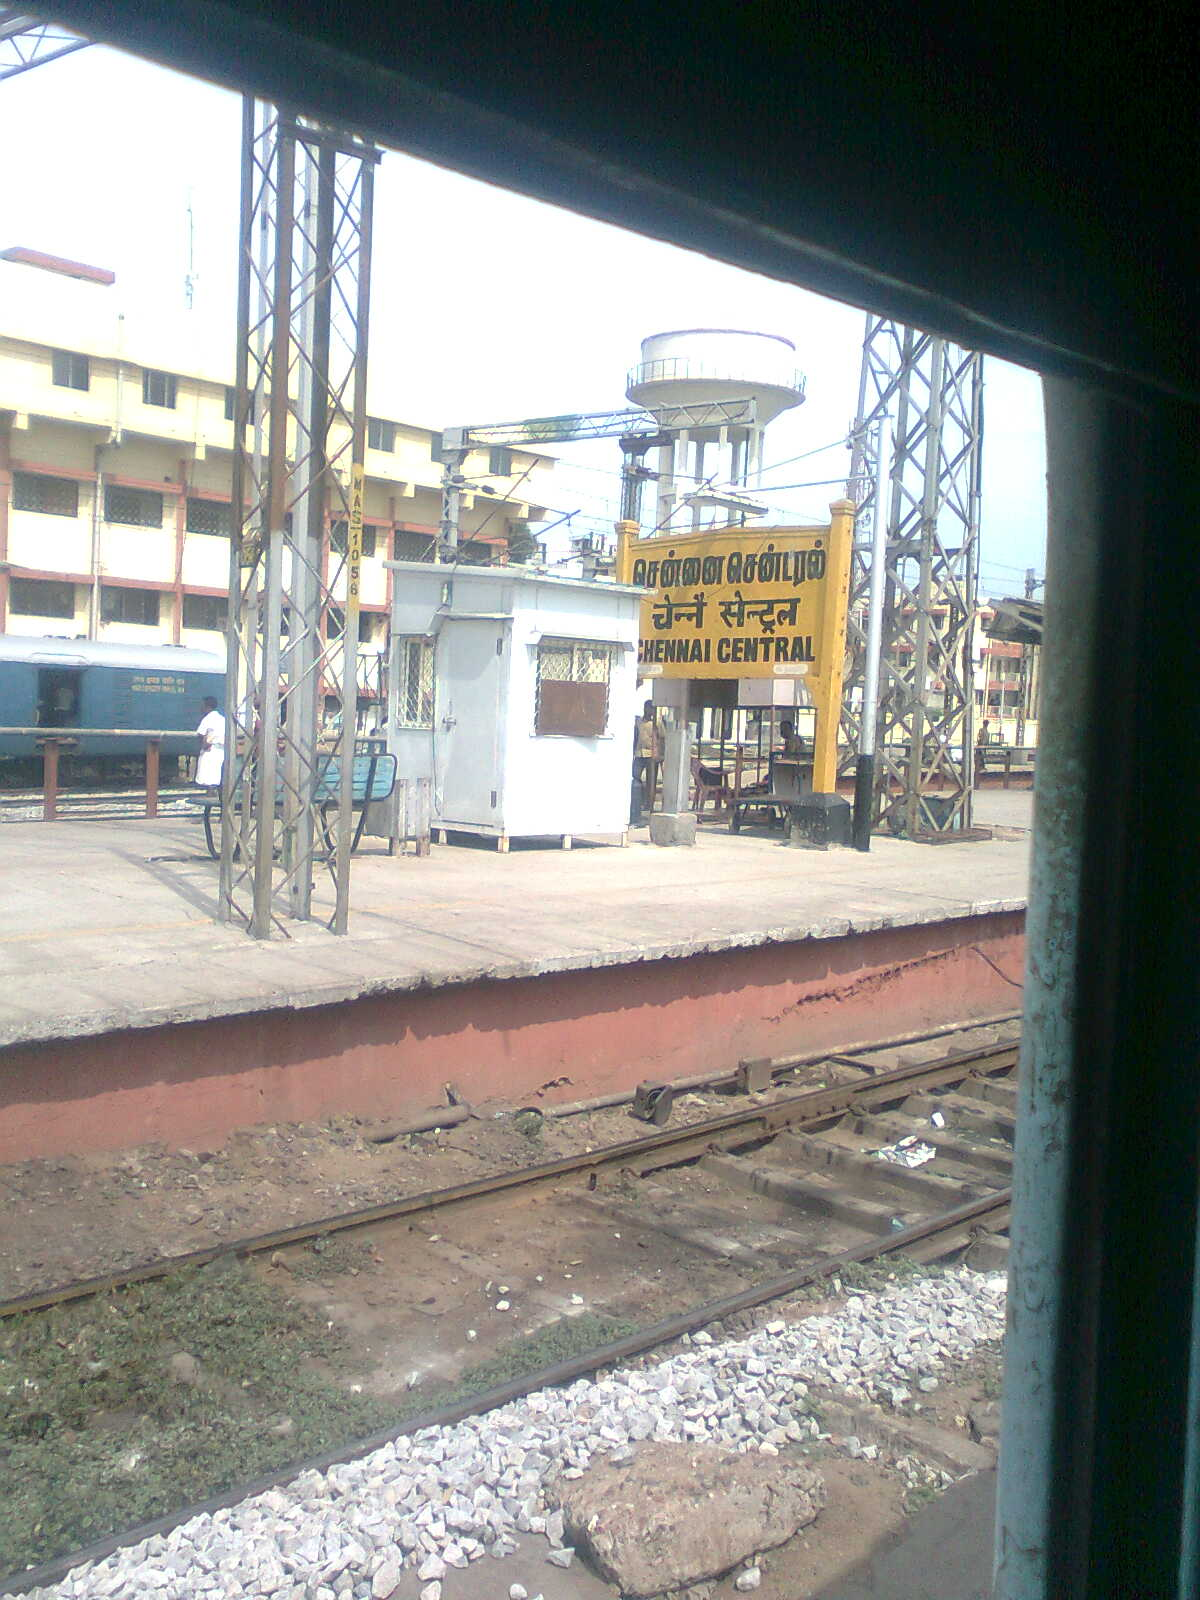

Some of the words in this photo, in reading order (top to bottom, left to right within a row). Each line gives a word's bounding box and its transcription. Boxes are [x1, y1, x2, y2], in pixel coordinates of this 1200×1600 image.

[627, 540, 731, 591] எசன்னை
[719, 535, 833, 591] சென்டரல்
[645, 583, 714, 637] चेन्नै
[714, 586, 803, 639] सेन्ट्रल
[635, 635, 715, 667] CHENNAI
[709, 631, 820, 668] CENTRAL